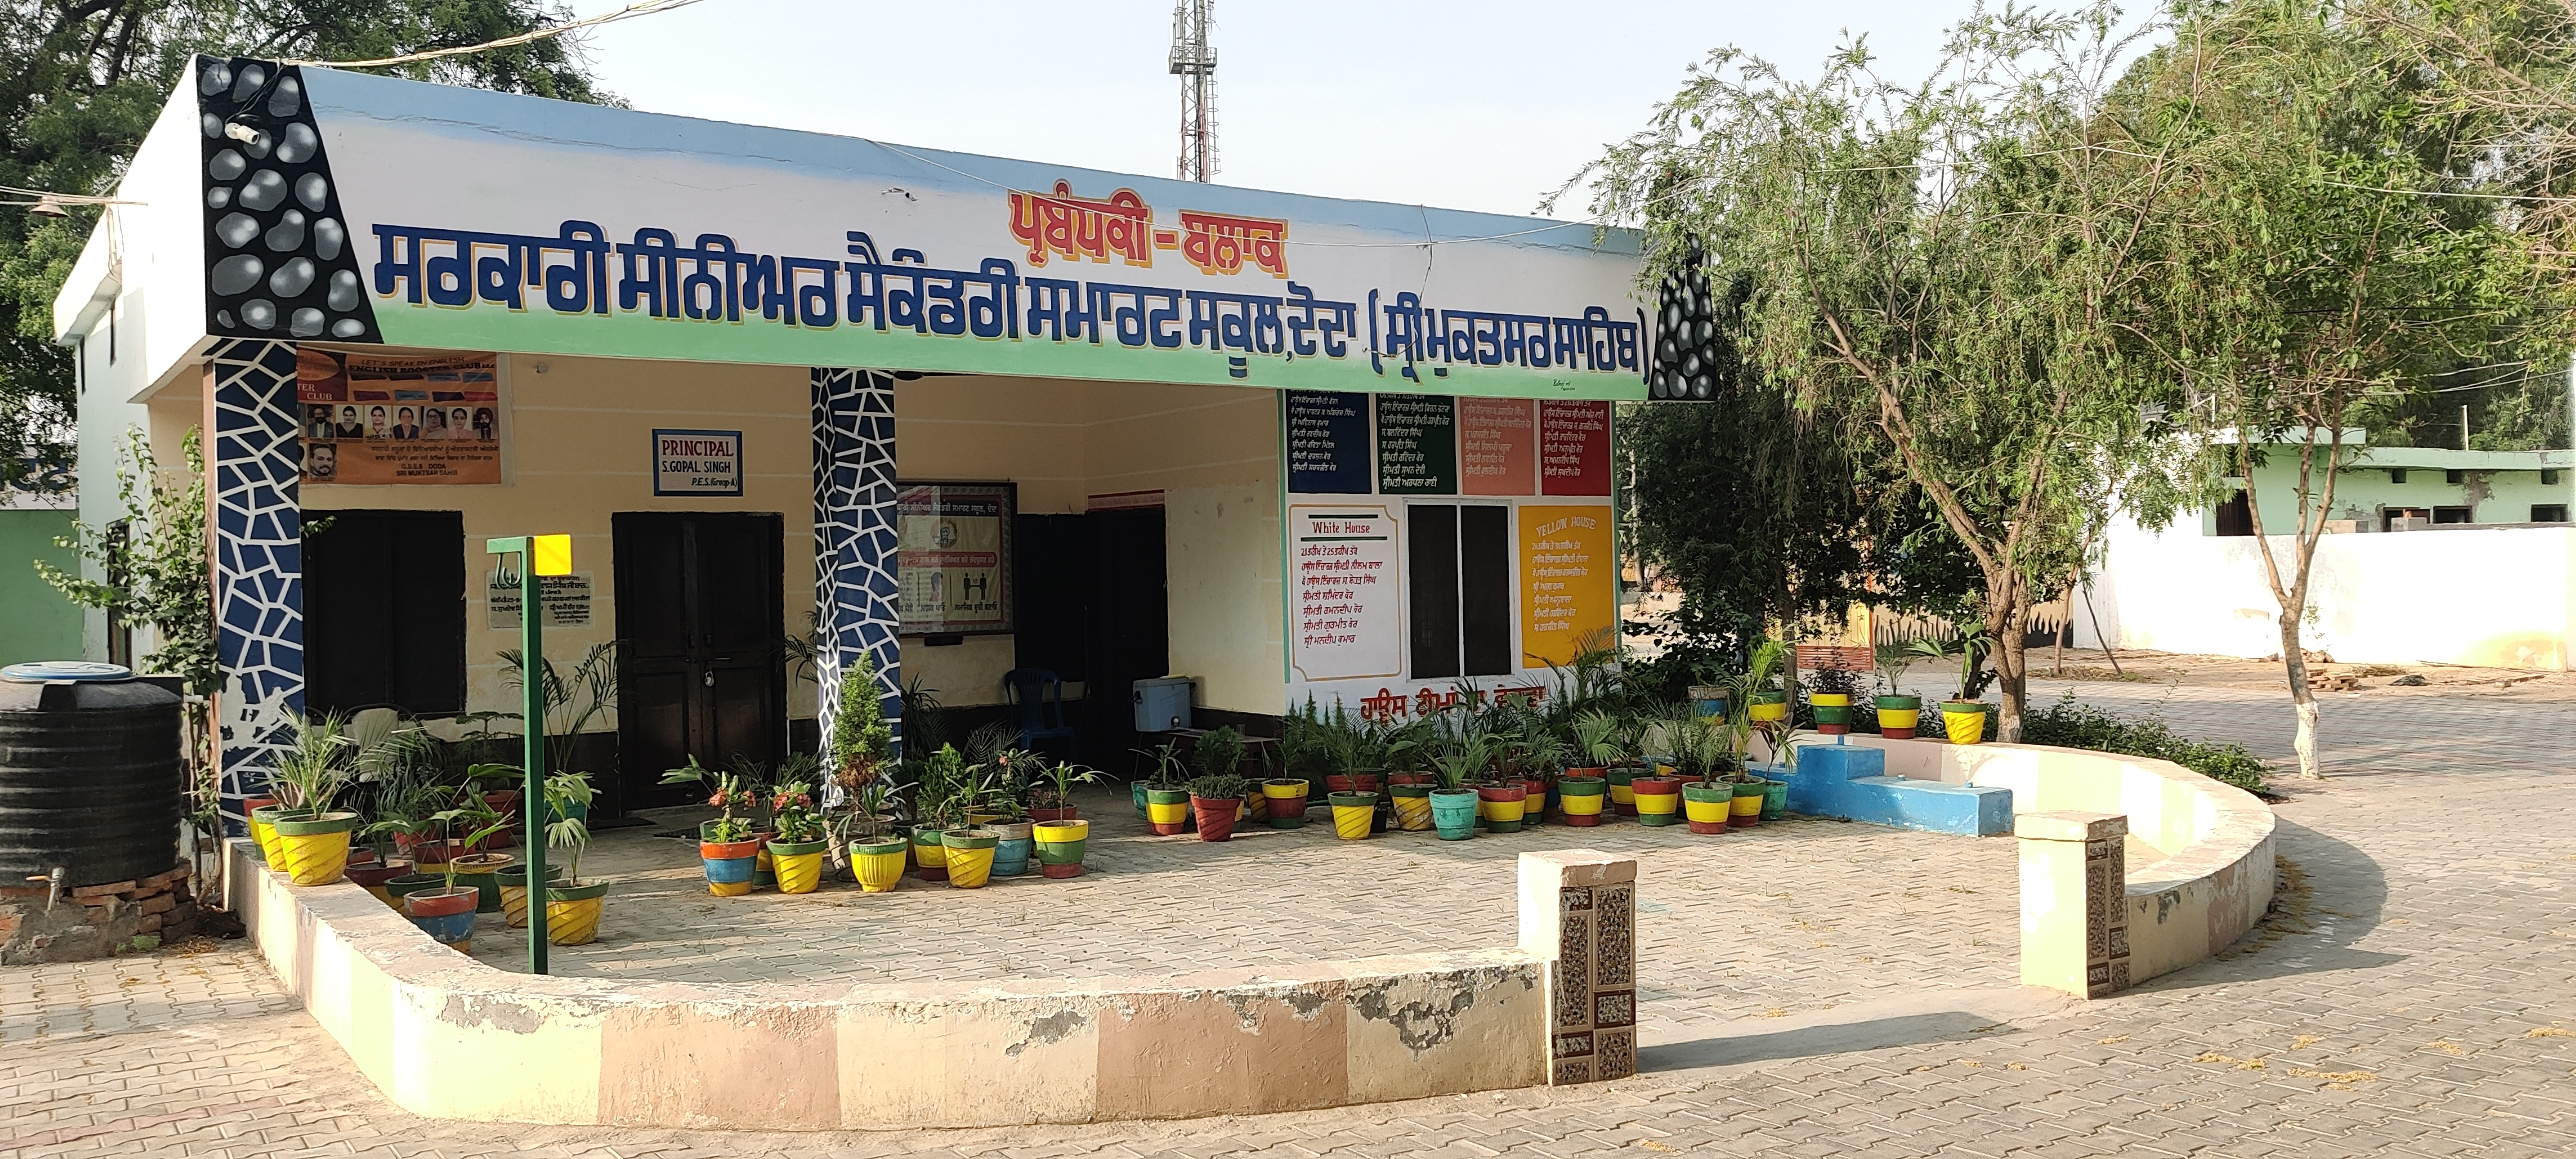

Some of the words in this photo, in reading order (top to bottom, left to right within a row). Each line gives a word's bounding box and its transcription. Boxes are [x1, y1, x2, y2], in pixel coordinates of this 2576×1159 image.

[1001, 174, 1299, 281] ਪ੍ਰਬੰਧਕੀ-ਬਲਾਕ
[361, 205, 616, 321] ਸਰਕਾਰੀ
[611, 219, 848, 341] ਸੀਨੀਅਰ
[835, 223, 1026, 350] ਸੈਕੰਡਰੀ
[1024, 274, 1187, 362] ਸਮਾਰਟ
[1183, 282, 1286, 387] ਸਕੂਲ
[1283, 279, 1365, 371] ਦੋਦਾ
[1376, 283, 1427, 387] ਸूੀ
[1423, 301, 1553, 382] ਮੁਕਤਸਰ
[1550, 298, 1642, 382] ਸਾਹਿਬ
[303, 391, 336, 402] CLUB
[656, 436, 737, 458] PRINCIPAL
[393, 469, 408, 477] SRI
[408, 467, 439, 478] MUKTSAR
[426, 461, 449, 470] DODA
[438, 469, 461, 478] SAHIB
[658, 457, 737, 476] S.GOPALSINGH
[688, 474, 711, 489] P.E.S.
[711, 475, 739, 490] Group-A)
[1307, 517, 1341, 536] White
[1341, 519, 1374, 537] House
[1531, 514, 1570, 541] YELLOW
[1569, 513, 1600, 535] HOUSE
[1352, 684, 1410, 728] ਹਾਊਸ